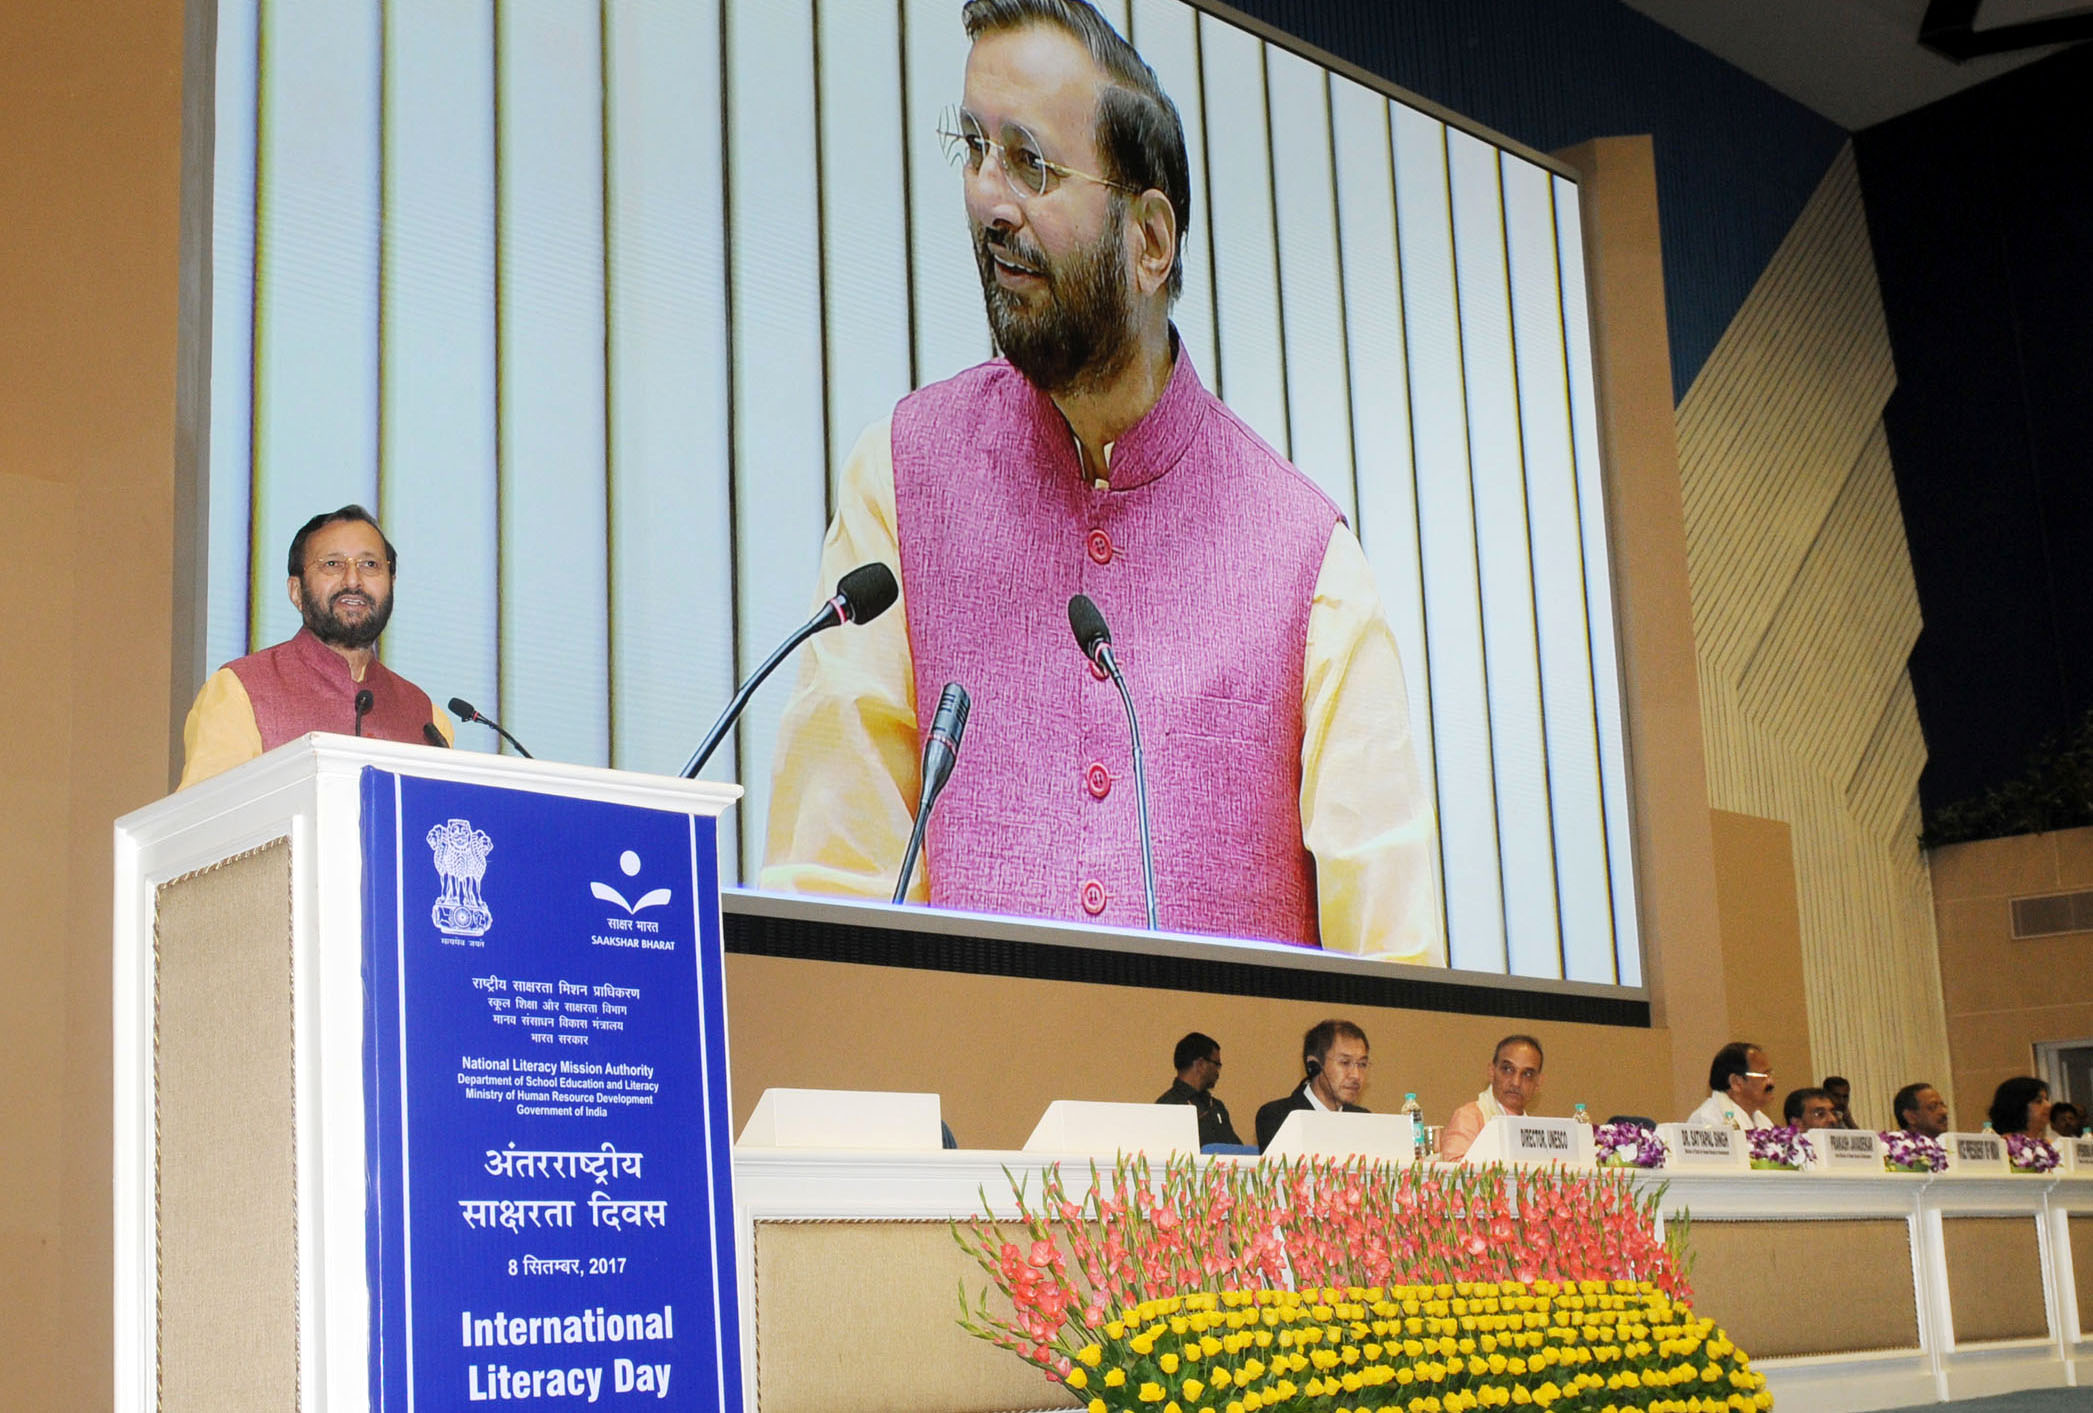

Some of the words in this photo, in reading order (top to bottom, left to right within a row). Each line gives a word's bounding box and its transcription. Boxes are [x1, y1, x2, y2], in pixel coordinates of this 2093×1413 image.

[604, 915, 636, 935] साक्षर
[635, 917, 664, 937] भारत
[591, 931, 642, 951] SAAKSHAR
[639, 935, 678, 953] BHARAT
[467, 967, 510, 996] राष्ट्रीय
[482, 993, 515, 1013] स्कूल
[510, 989, 541, 1013] शिक्षा
[509, 976, 555, 995] साक्षरता
[537, 995, 563, 1012] और
[554, 975, 590, 999] मिशन
[563, 999, 601, 1017] साक्षरता
[597, 996, 633, 1019] विभाग
[587, 976, 644, 1006] प्राधिकरण
[489, 1013, 519, 1028] मानव
[517, 1008, 555, 1029] संसाधन
[551, 1011, 591, 1032] विकास
[589, 1012, 628, 1035] मंत्रालय
[527, 1030, 556, 1047] भारत
[553, 1032, 595, 1049] सरकार
[461, 1085, 508, 1105] Ministry
[454, 1071, 517, 1089] Department
[460, 1051, 514, 1073] National
[501, 1088, 518, 1105] of
[507, 1073, 528, 1091] of
[513, 1088, 553, 1105] Human
[509, 1055, 562, 1076] Literacy
[521, 1072, 561, 1093] School
[550, 1089, 599, 1108] Resource
[556, 1058, 607, 1077] Mission
[557, 1072, 609, 1093] Education
[601, 1077, 627, 1095] and|
[595, 1089, 659, 1107] Development
[601, 1059, 658, 1081] Authority
[623, 1077, 663, 1097] Literacy
[515, 1101, 577, 1118] Government
[569, 1104, 589, 1121] of
[582, 1104, 611, 1121] India
[482, 1135, 649, 1188] अंतरराष्ट्रीय
[457, 1195, 577, 1237] साक्षरता
[578, 1183, 670, 1236] दिवस
[500, 1255, 522, 1280] 8
[522, 1249, 584, 1281] सितम्बर
[587, 1254, 630, 1279] 2017
[457, 1302, 677, 1351] International
[465, 1360, 607, 1407] Literacy
[610, 1355, 673, 1403] Day